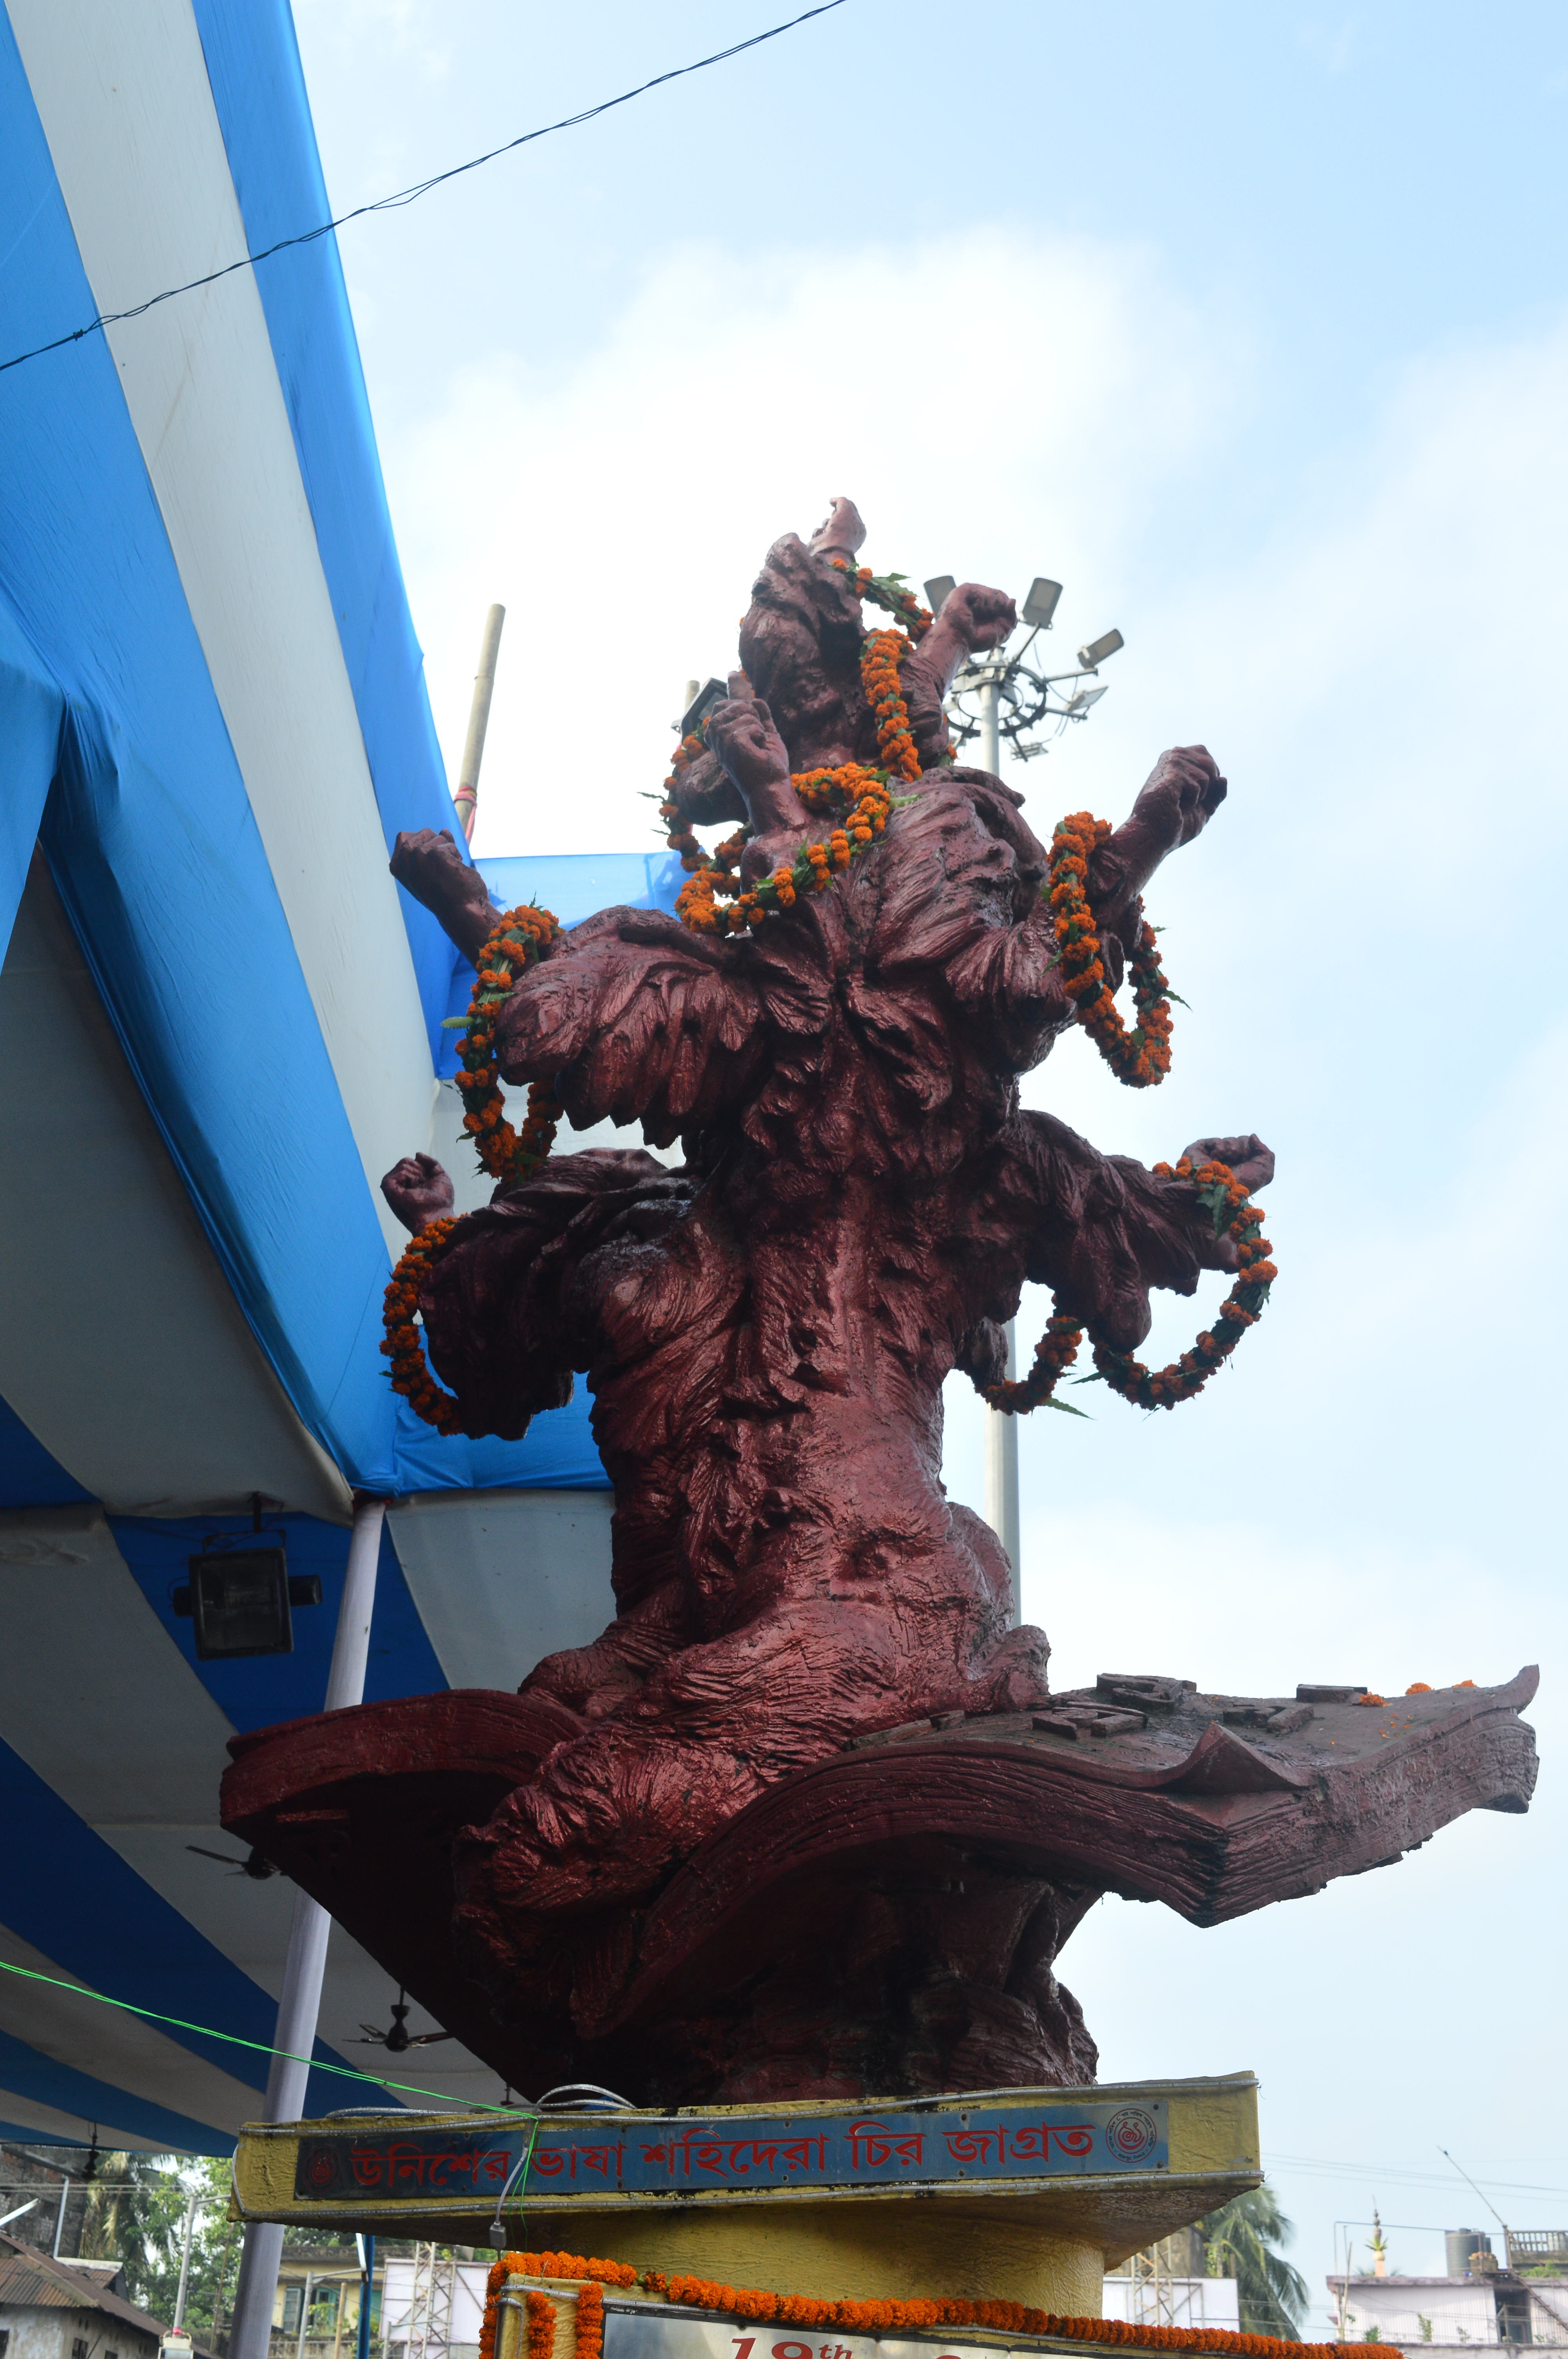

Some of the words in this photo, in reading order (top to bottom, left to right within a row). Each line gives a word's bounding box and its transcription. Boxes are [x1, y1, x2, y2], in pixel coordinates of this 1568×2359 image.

[347, 2138, 513, 2191] উনিশের
[519, 2138, 631, 2185] ভাষা
[632, 2122, 834, 2183] শহিদেরা
[835, 2116, 933, 2175] চির
[938, 2119, 1100, 2172] জাগ্রত